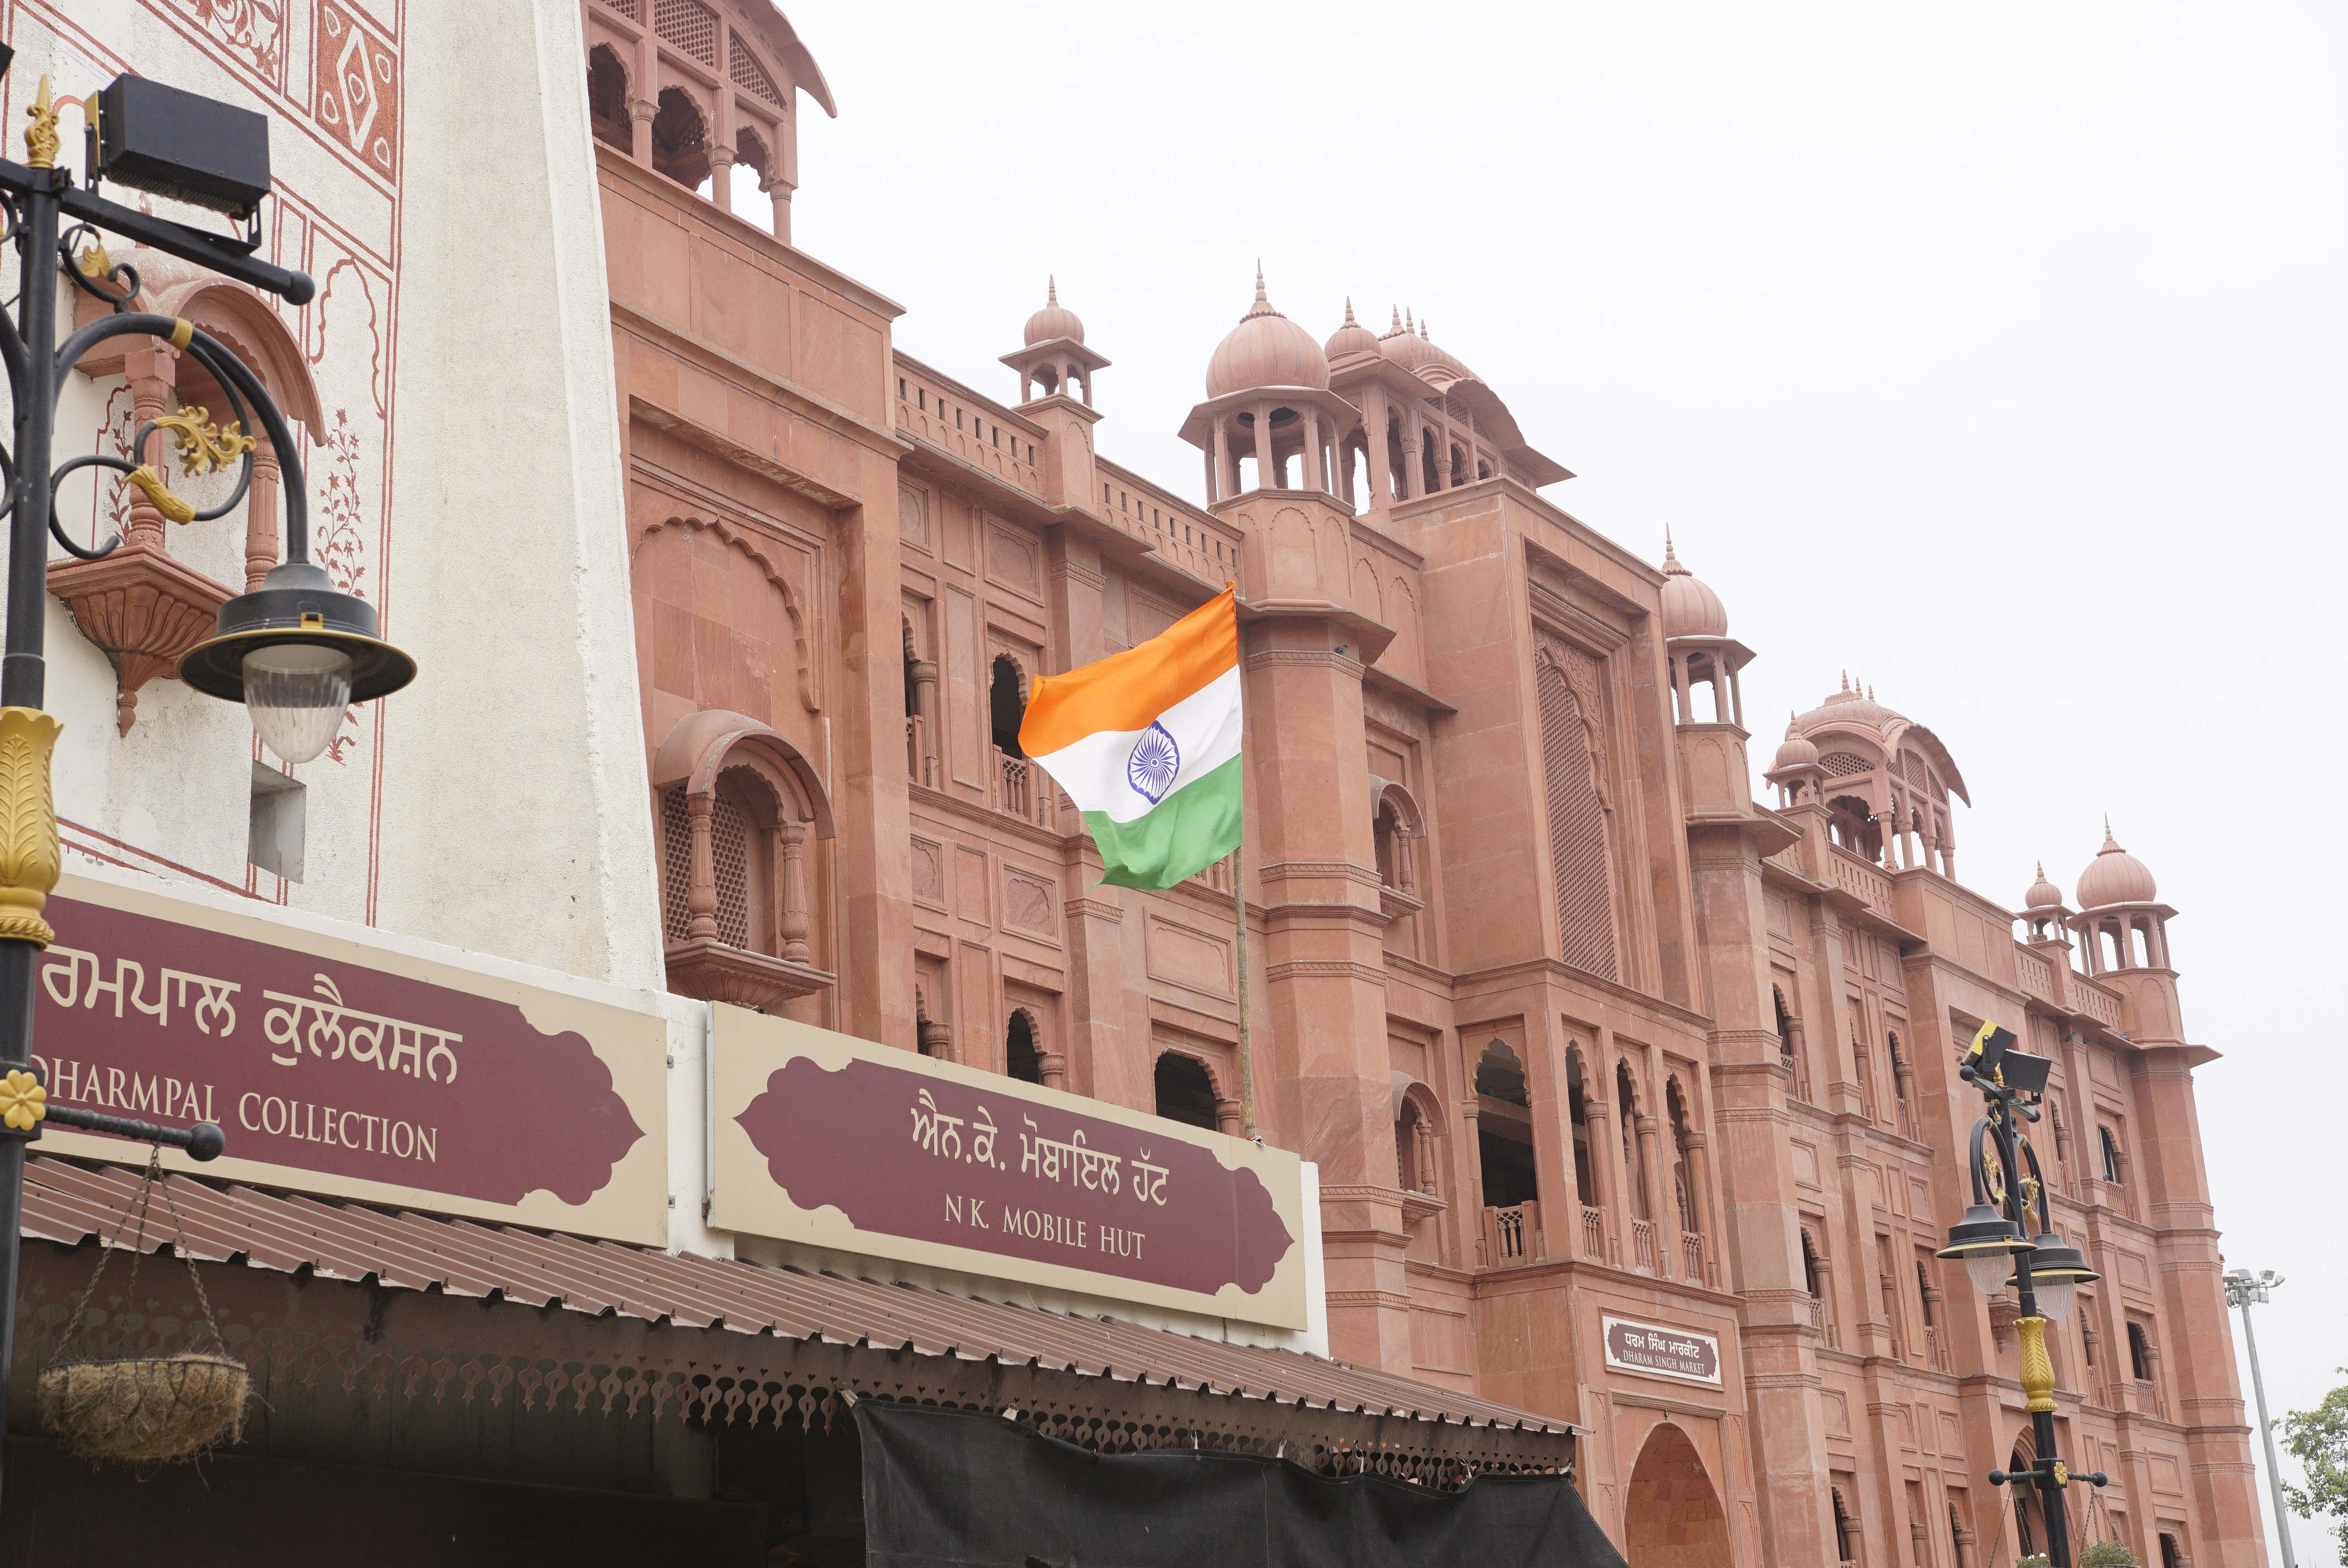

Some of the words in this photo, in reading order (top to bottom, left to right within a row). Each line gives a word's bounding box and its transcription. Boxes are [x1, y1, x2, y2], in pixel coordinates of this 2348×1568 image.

[38, 936, 253, 1050] ਰਮਪਾਲ
[244, 966, 475, 1103] ਕੁਲੈਕਸ਼ਨ
[49, 1052, 230, 1129] HARMPAL
[227, 1083, 446, 1170] COLLECTION
[902, 1083, 1010, 1180] ਐਨ.ਕੇ.
[1013, 1108, 1125, 1200] ਮੋਬਾਇਲ
[1127, 1140, 1181, 1218] ਹੱਟ
[936, 1184, 994, 1235] NK.
[997, 1198, 1090, 1254] MOBILE
[1095, 1221, 1150, 1265] HUT
[1620, 1329, 1647, 1350] ਧਰਮ
[1620, 1347, 1654, 1368] DHARAM
[1646, 1330, 1667, 1355] ਸਿੰਘ
[1653, 1352, 1678, 1371] SINGH
[1666, 1338, 1702, 1359] ਮਾਰਕੀਟ
[1677, 1358, 1707, 1377] MARKET